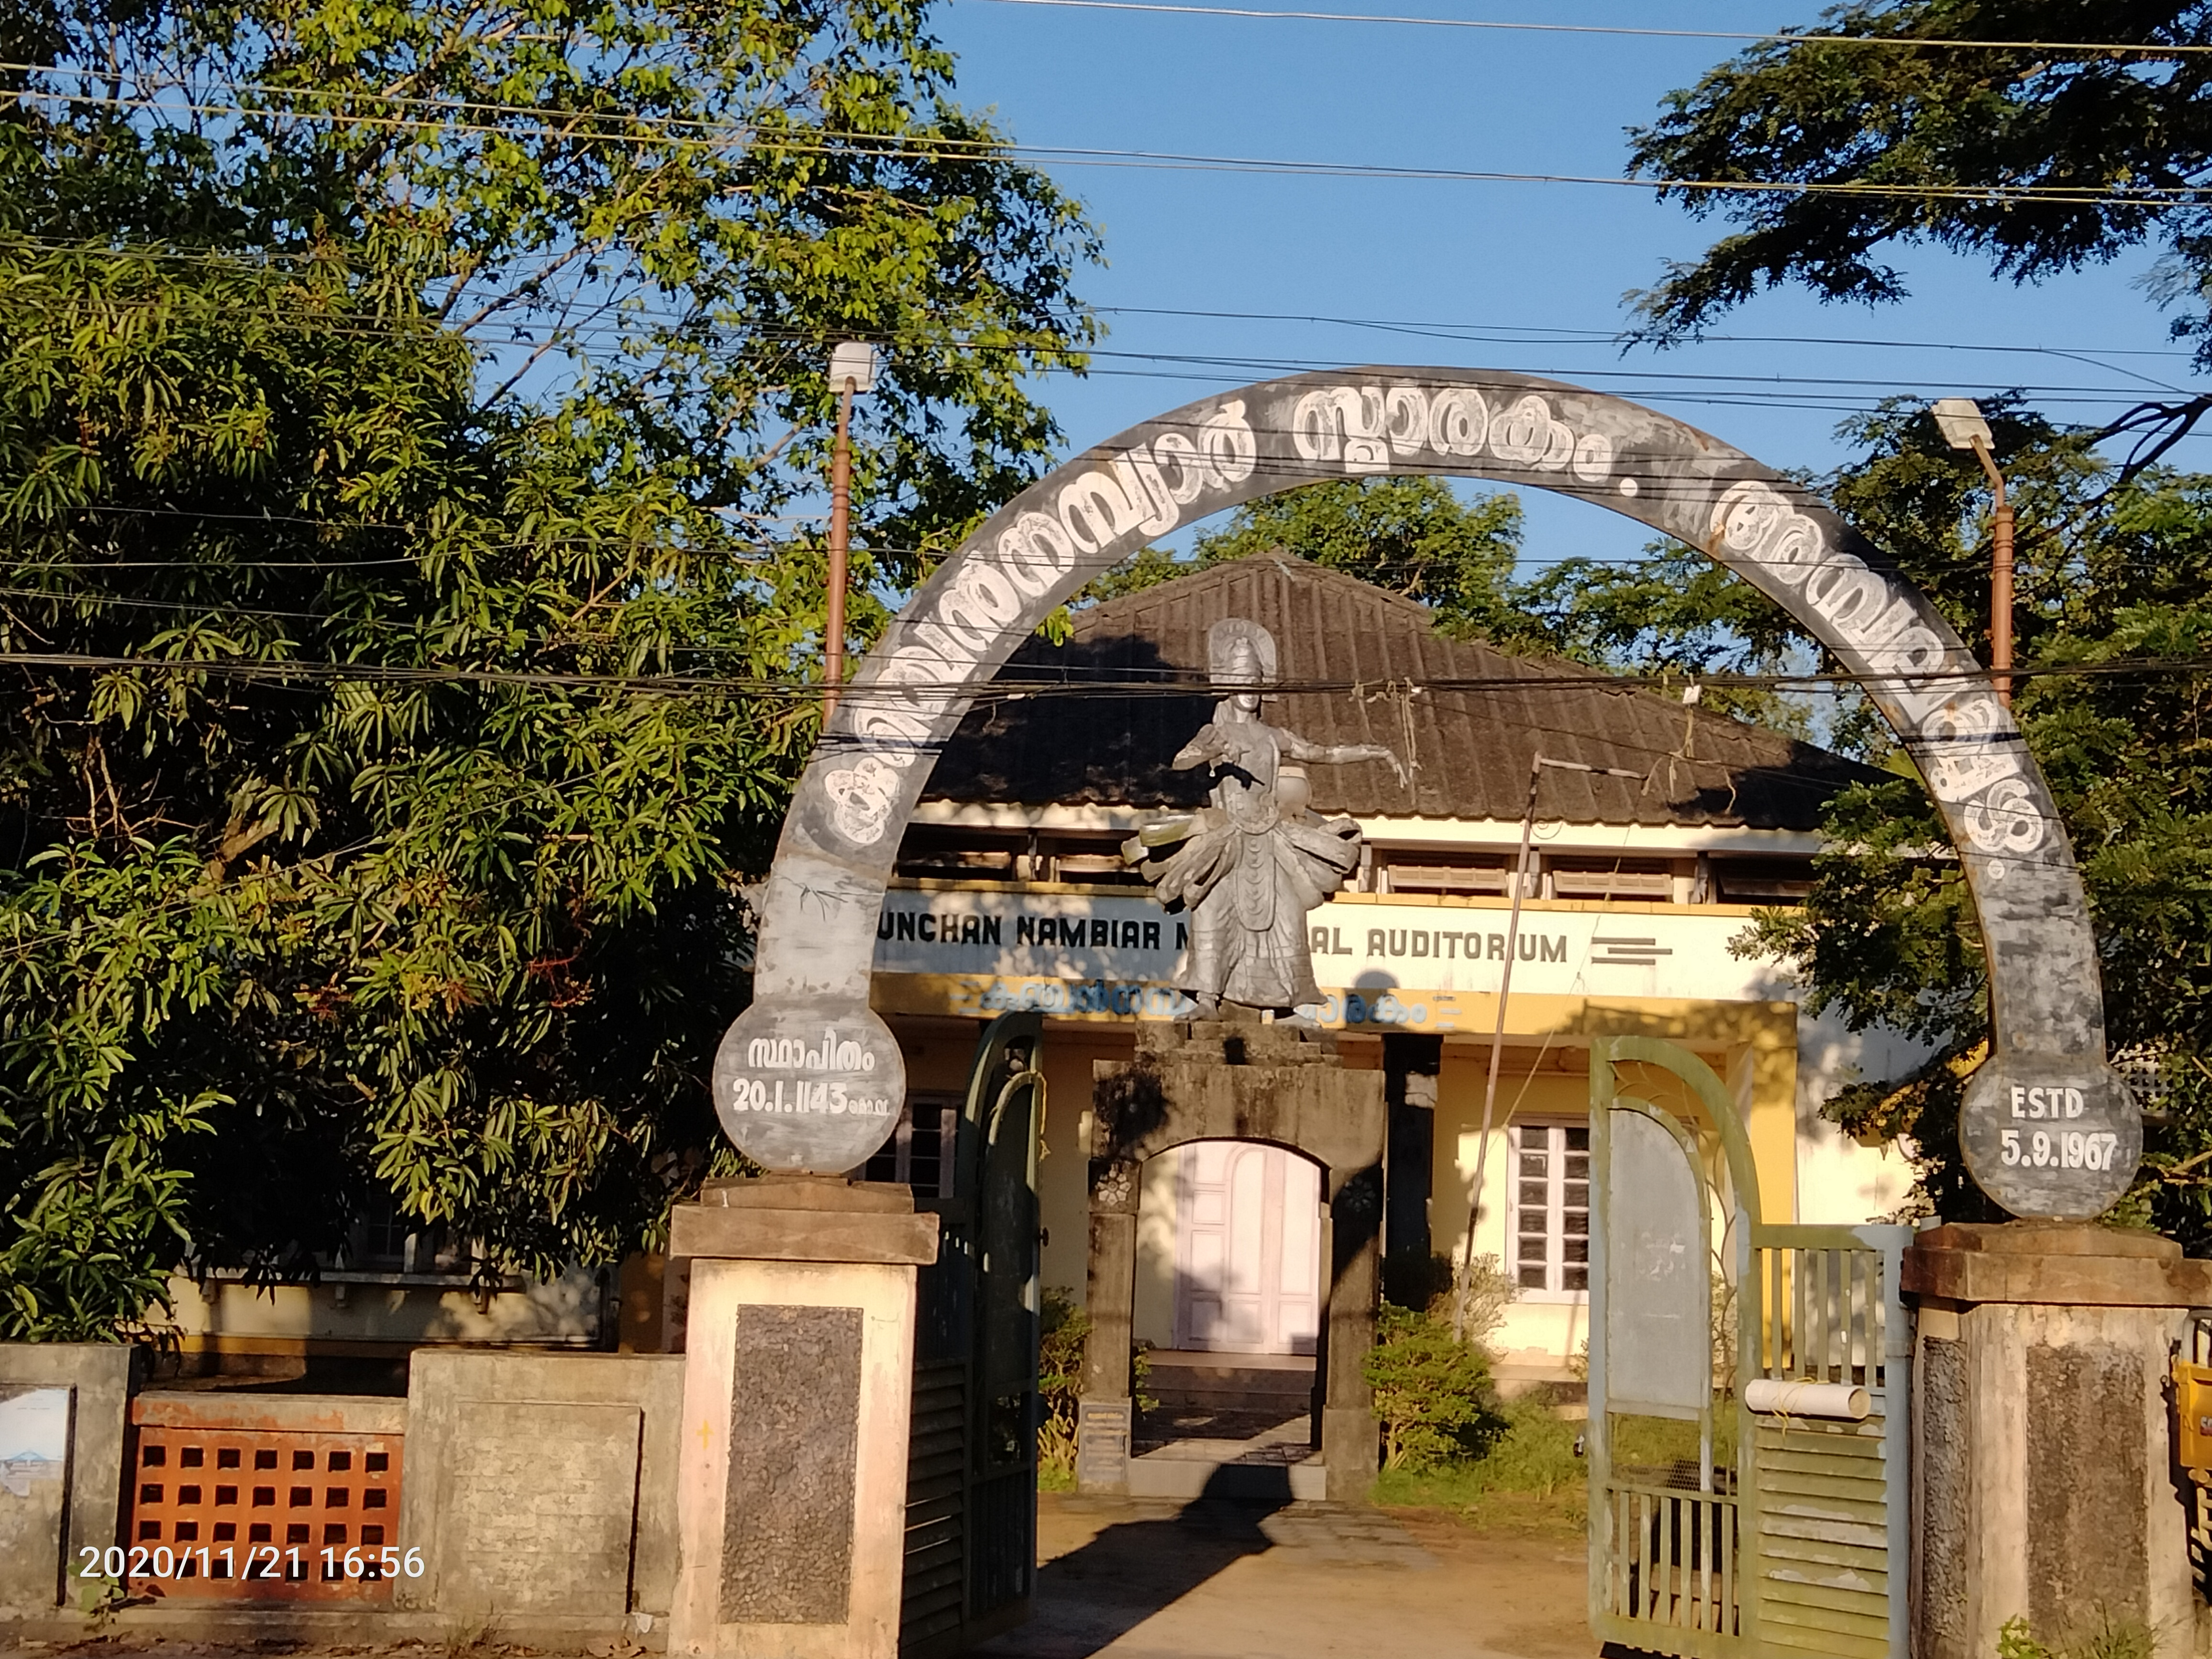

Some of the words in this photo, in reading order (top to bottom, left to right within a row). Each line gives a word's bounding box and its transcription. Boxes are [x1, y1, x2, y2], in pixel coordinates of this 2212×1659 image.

[1287, 375, 1623, 489] സ്മാരകം
[1699, 470, 2051, 887] അമ്പലപ്പുഴ
[872, 905, 1007, 944] UNCHAN
[1013, 909, 1166, 956] NAMBIAR
[1360, 926, 1570, 972] AUDITORIUM
[743, 1016, 880, 1080] സ്ഥാപിതം
[729, 1073, 894, 1120] 20.1.1143 കൊ.വ.
[2007, 1081, 2087, 1123] ESTD
[1996, 1127, 2120, 1176] 5.9.1967
[72, 1541, 301, 1582] 2020/11/21
[306, 1541, 432, 1585] 16:56